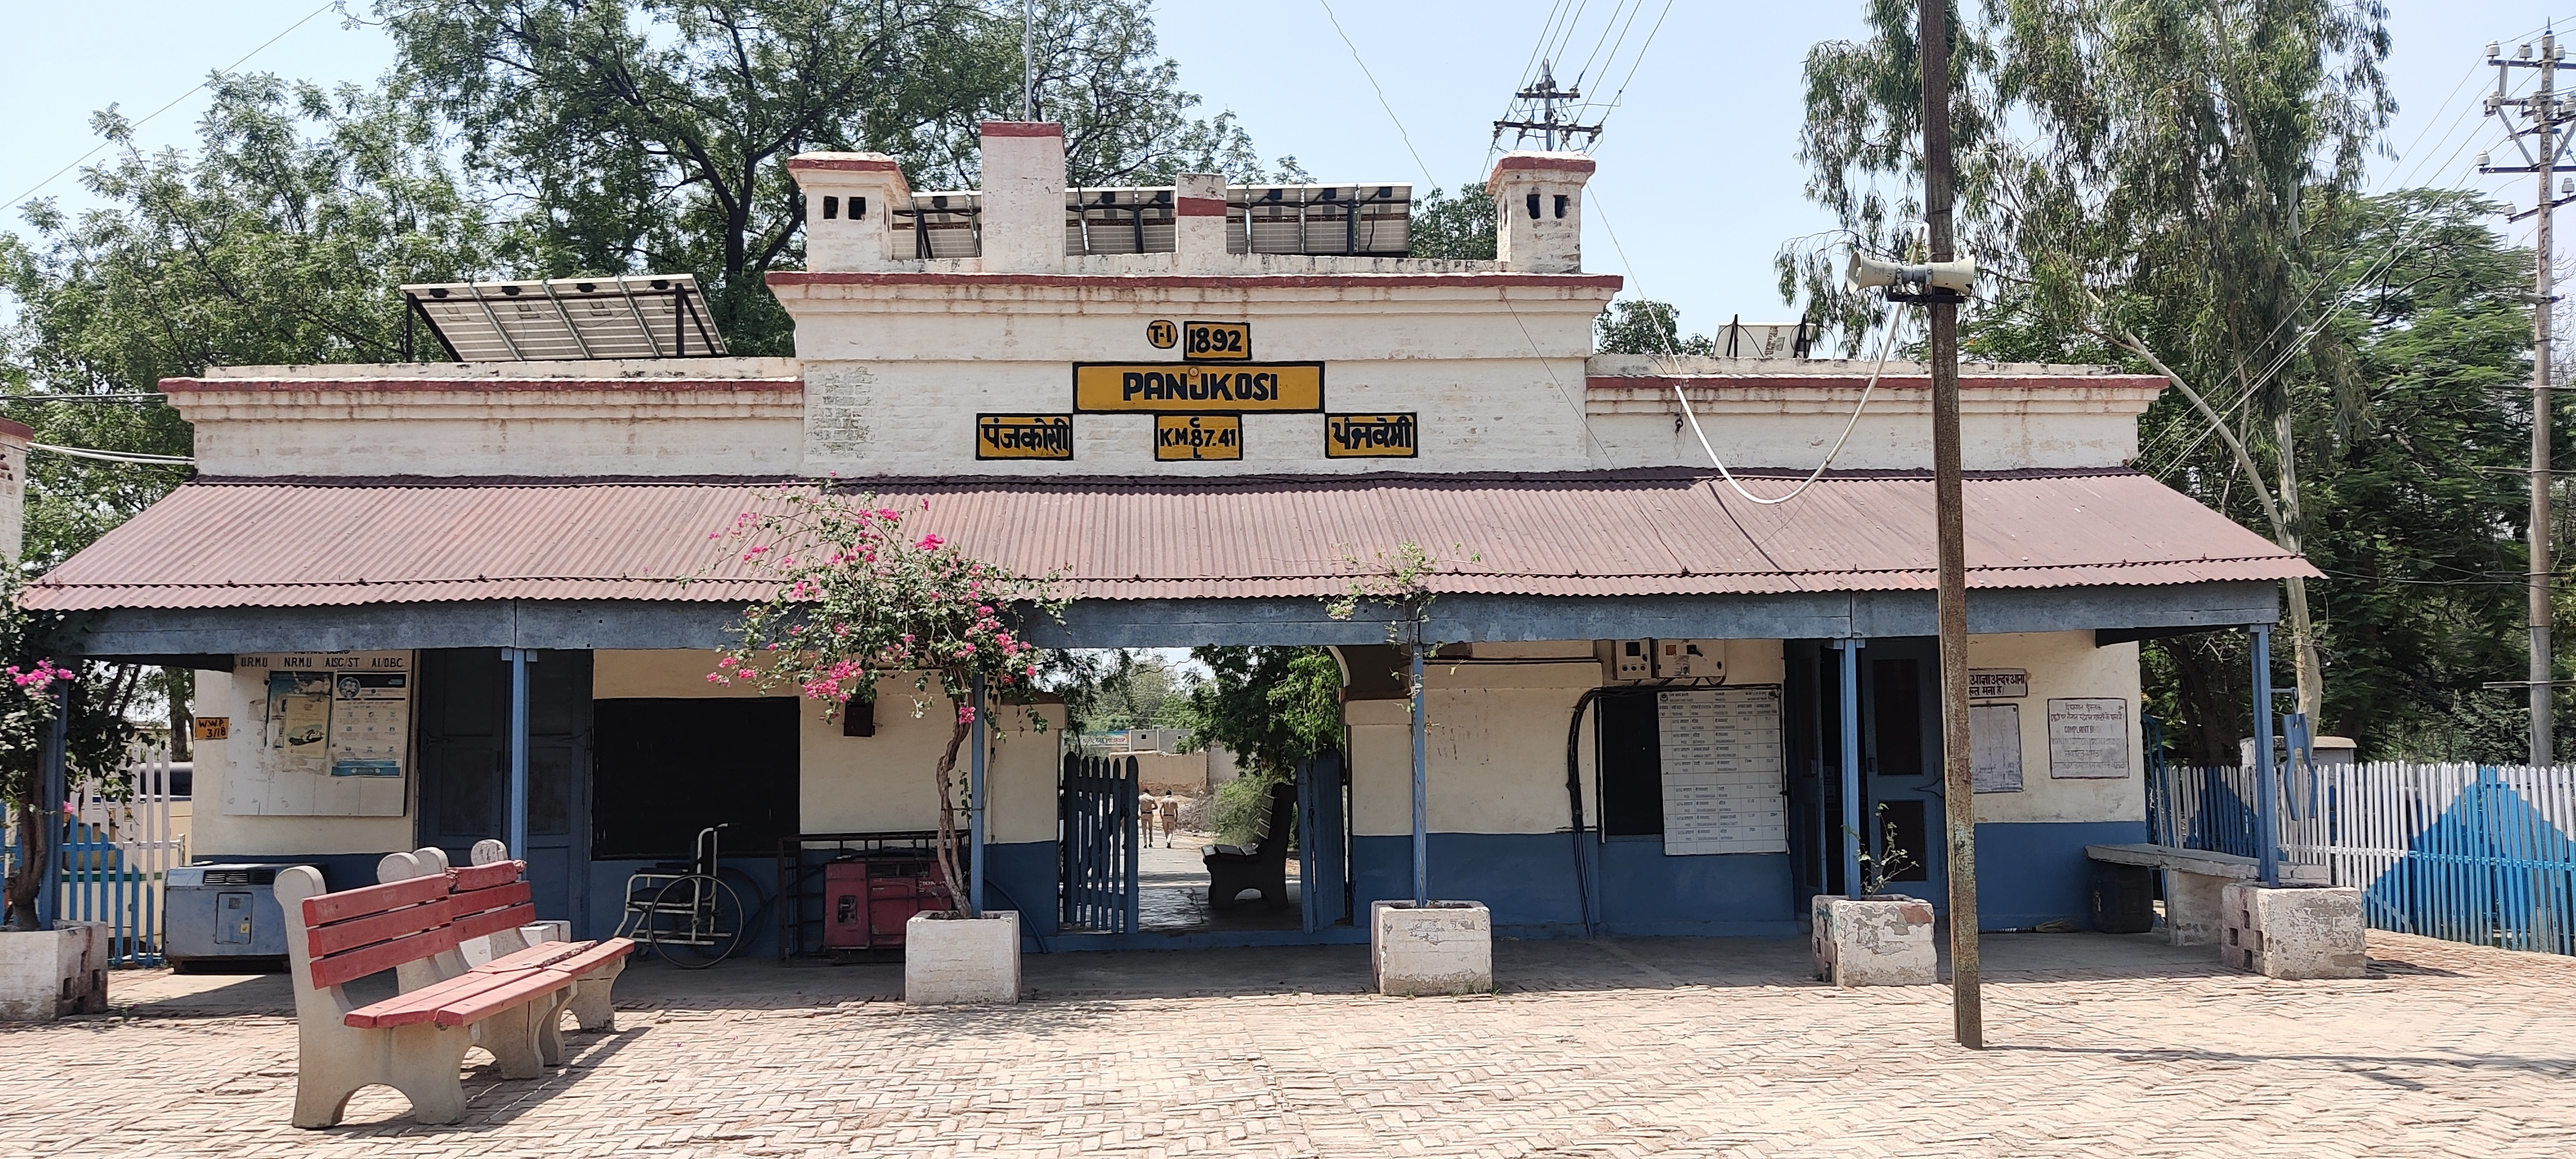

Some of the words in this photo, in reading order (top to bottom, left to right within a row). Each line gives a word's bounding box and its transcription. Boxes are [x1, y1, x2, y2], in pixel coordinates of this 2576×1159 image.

[1148, 321, 1177, 346] T-I
[1186, 327, 1247, 355] 1892
[1114, 366, 1283, 406] PANJKOSI
[1186, 415, 1206, 427] C
[980, 417, 1068, 457] पंजकोसी
[1155, 426, 1239, 448] K.M.87.41
[1328, 413, 1414, 456] ਪਜਕੋਸੀ
[1188, 447, 1206, 460] L
[236, 654, 269, 670] URMU
[280, 655, 314, 669] NRMU
[322, 655, 363, 669] AISC/ST
[369, 655, 407, 670] AI/OBC
[1968, 672, 1991, 686] आज्ञा
[1990, 670, 2010, 686] अन्दर
[2010, 672, 2027, 686] आना
[1980, 685, 1996, 696] मना
[1995, 683, 2003, 696] है
[196, 717, 229, 729] W.W.P.
[203, 726, 227, 739] 3/18